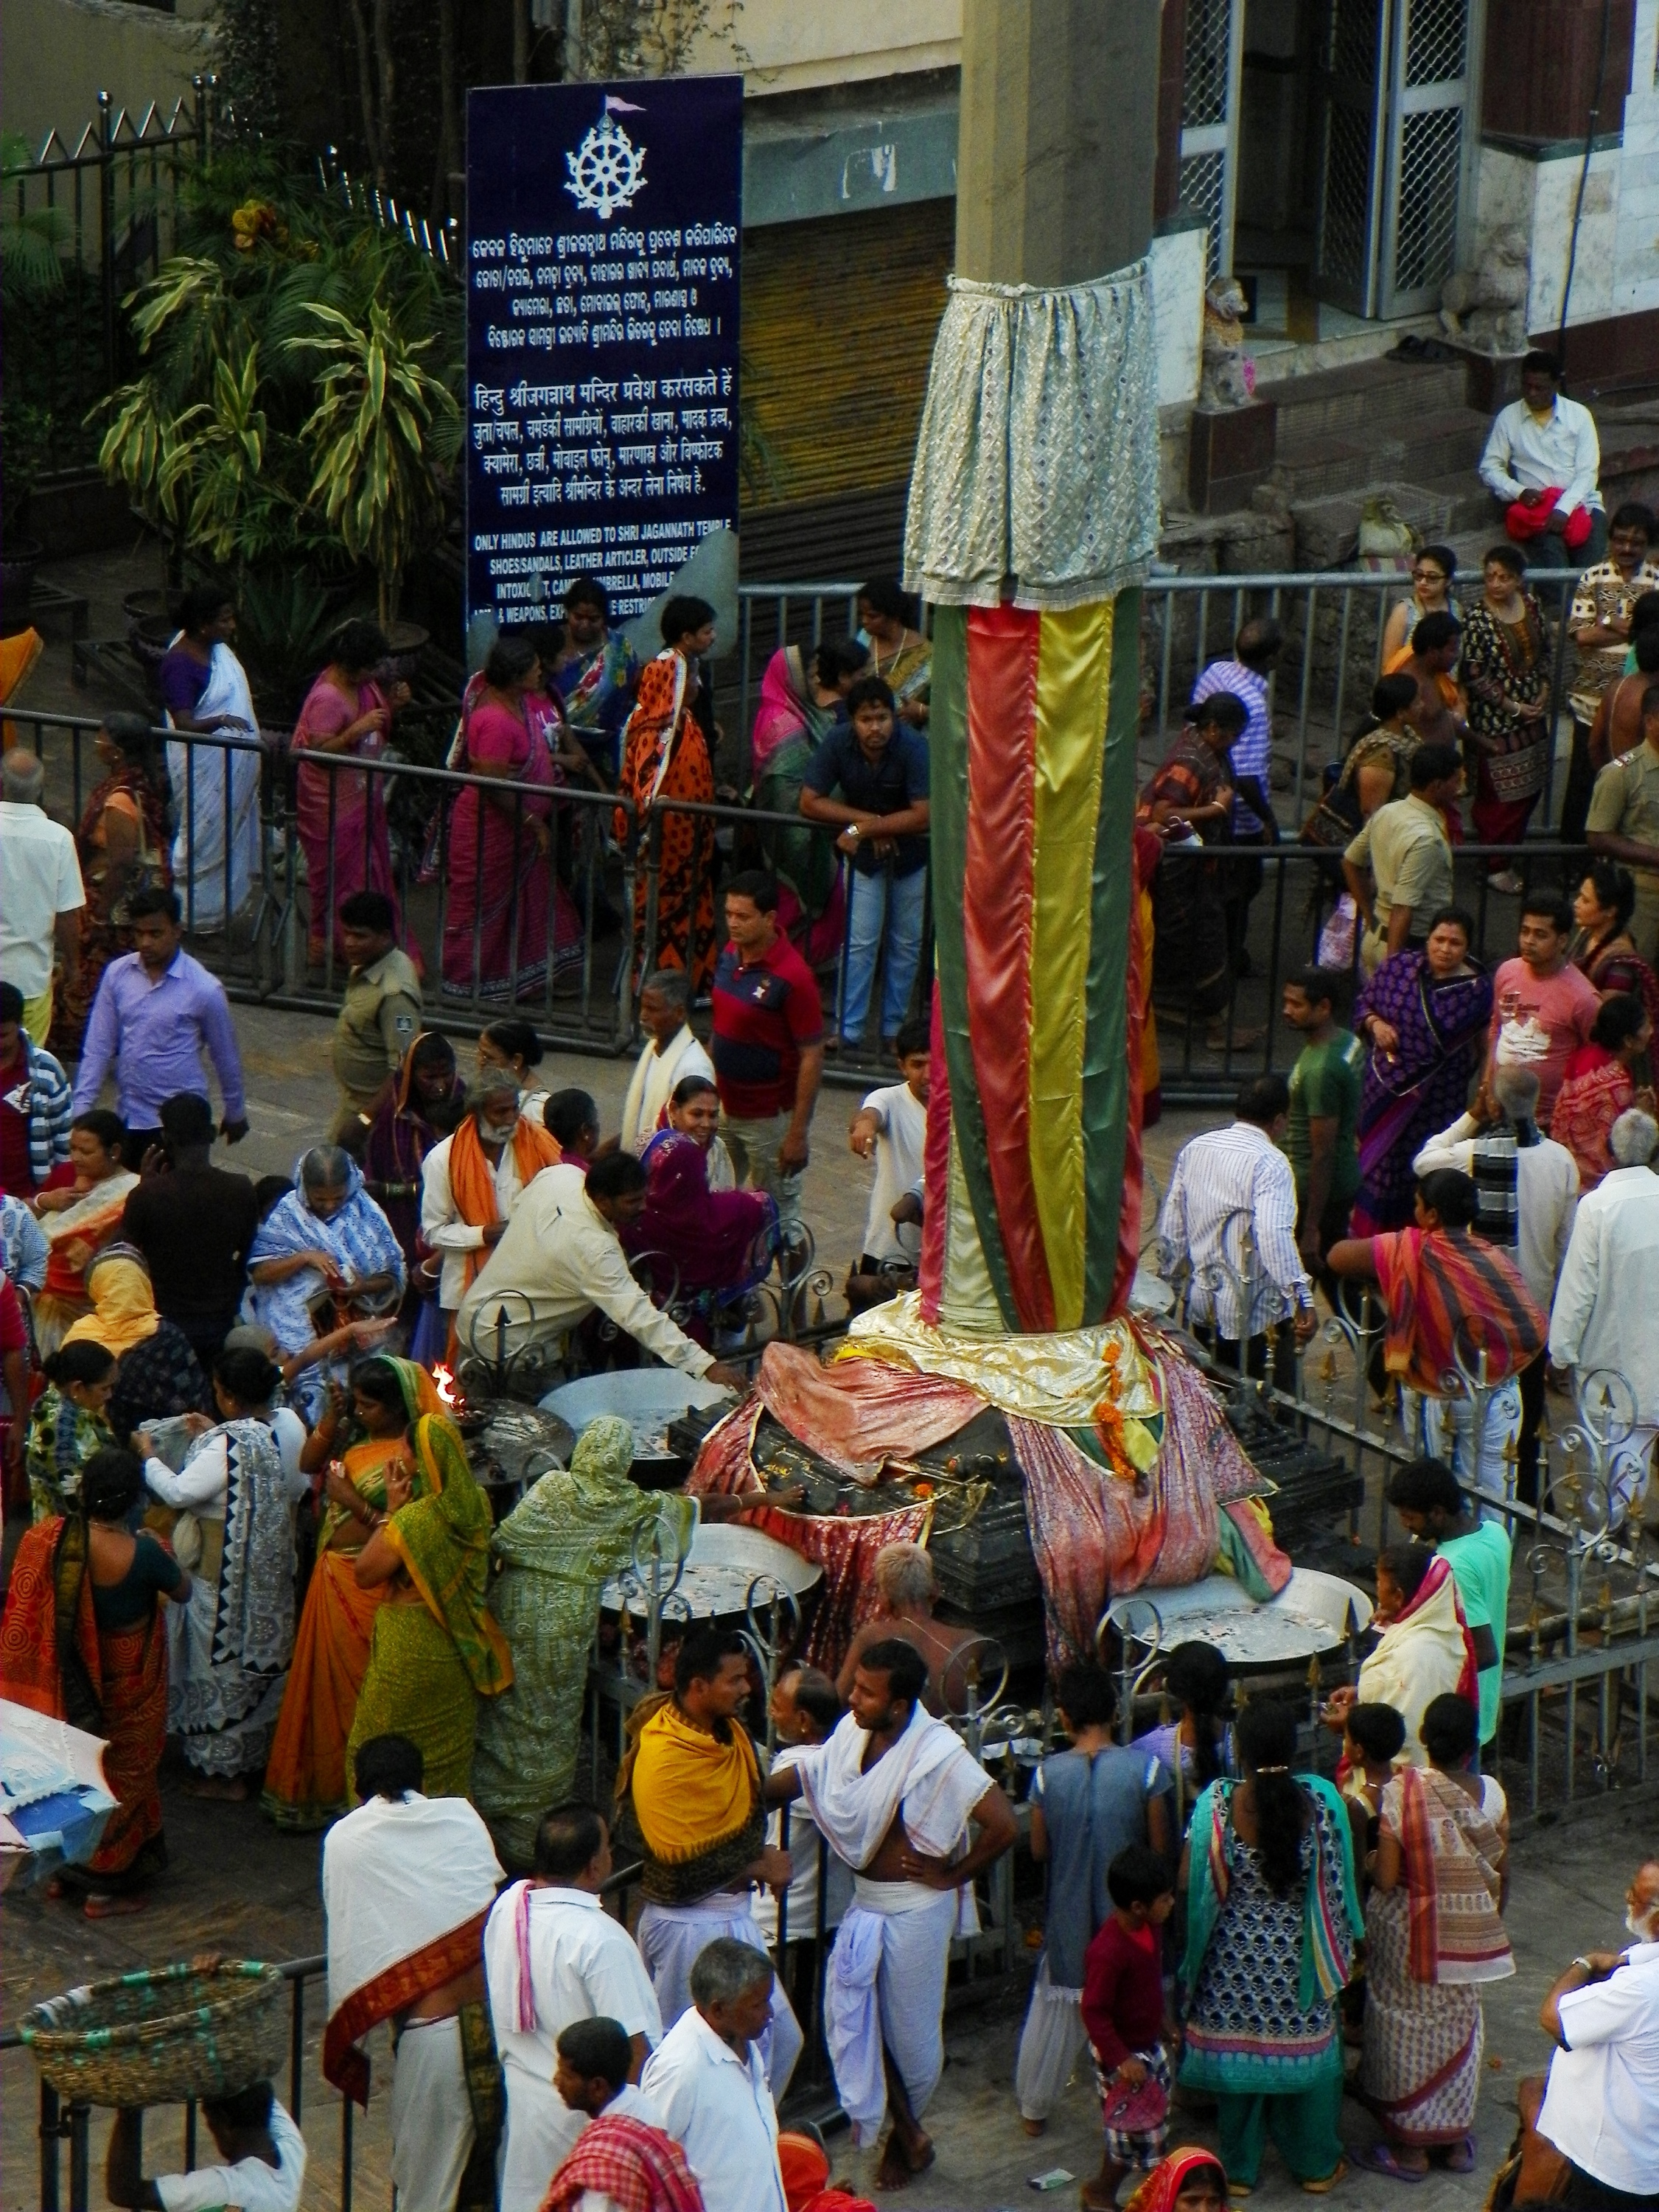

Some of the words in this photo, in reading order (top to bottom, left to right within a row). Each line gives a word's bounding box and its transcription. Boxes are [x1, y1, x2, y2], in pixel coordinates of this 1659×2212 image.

[503, 228, 558, 266] ହିନ୍ଦୁମାନେ
[555, 228, 610, 262] ଶ୍ରୀଜଗନ୍ନାଥ
[607, 222, 649, 262] ମନ୍ଦିରକୁ
[645, 223, 685, 259] ପ୍ରବେଶ
[679, 216, 741, 250] କରିପାରିବେ
[474, 262, 537, 293] ଜୋତା |ଚପଲ,
[531, 261, 565, 293] ଚମଡ଼ା
[559, 259, 591, 295] ଦ୍ରବ୍ୟ,
[586, 257, 631, 284] ବାହାରର
[647, 255, 682, 281] ପଦାର୍ଥ,
[677, 251, 713, 280] ମାଦକ
[702, 253, 733, 283] ଦ୍ରବ୍ୟ,
[509, 294, 556, 322] କ୍ୟାମେରା,
[552, 293, 579, 321] ଛତା,
[576, 286, 624, 318] ମୋବାଇଲ୍
[620, 284, 654, 318] ଫୋନ୍,
[651, 285, 702, 312] ମାରଣାସ୍ତ୍ର ଓ
[481, 319, 529, 349] ବିସ୍ଫୋରକ
[525, 324, 558, 354] ସାମଗ୍ରୀ
[555, 313, 596, 347] ଇତ୍ୟାଦି
[590, 312, 628, 351] ଶ୍ରୀମନ୍ଦିର
[621, 311, 661, 351] ଭିତରକୁ
[677, 307, 715, 343] ନିଗଷଧ
[469, 375, 511, 419] हिन्दु
[506, 375, 579, 409] श्रीजगन्नाथ
[576, 371, 621, 407] मन्दिर
[618, 368, 659, 402] प्रवेश
[658, 362, 722, 402] करसकते
[716, 362, 736, 397] हें
[469, 419, 495, 454] ज़ुता
[480, 445, 524, 477] क्यामेरा,
[493, 419, 521, 444] चपल
[523, 442, 552, 477] छत्री
[524, 408, 564, 443] चमडेकी
[549, 437, 591, 477] मोबाइल
[562, 405, 607, 441] सामग्रियों
[585, 436, 615, 474] फोन,
[610, 403, 652, 438] वाहारकी
[614, 441, 660, 468] मारणास्र
[648, 409, 677, 433] खाना
[655, 432, 682, 468] और
[680, 406, 710, 434] मादक
[674, 429, 727, 466] विष्फोटक
[706, 403, 731, 431] द्रब्य,
[500, 470, 533, 509] सामग्री
[530, 470, 567, 506] इत्यादि
[562, 469, 604, 505] श्रीमन्दिर
[598, 468, 620, 502] के
[615, 474, 644, 503] अन्दर
[639, 464, 668, 501] लेना
[655, 464, 696, 497] निषेध
[686, 461, 711, 497] है.
[470, 530, 500, 554] ONLY
[498, 527, 537, 553] HINDUS
[486, 552, 562, 579] SHOES/SANDALS,
[535, 528, 563, 549] ARE
[556, 521, 605, 548] ALLOWED
[559, 550, 607, 573] LEATHER
[598, 523, 618, 545] TO
[599, 544, 654, 571] ARTICLER,
[610, 522, 645, 546] SHRI
[646, 542, 688, 568] OUTSIDE
[637, 517, 698, 542] JAGANNATH
[692, 518, 735, 540] TEMPLE
[493, 577, 555, 601] INTOXIT,
[502, 601, 548, 624] WEAPONS,